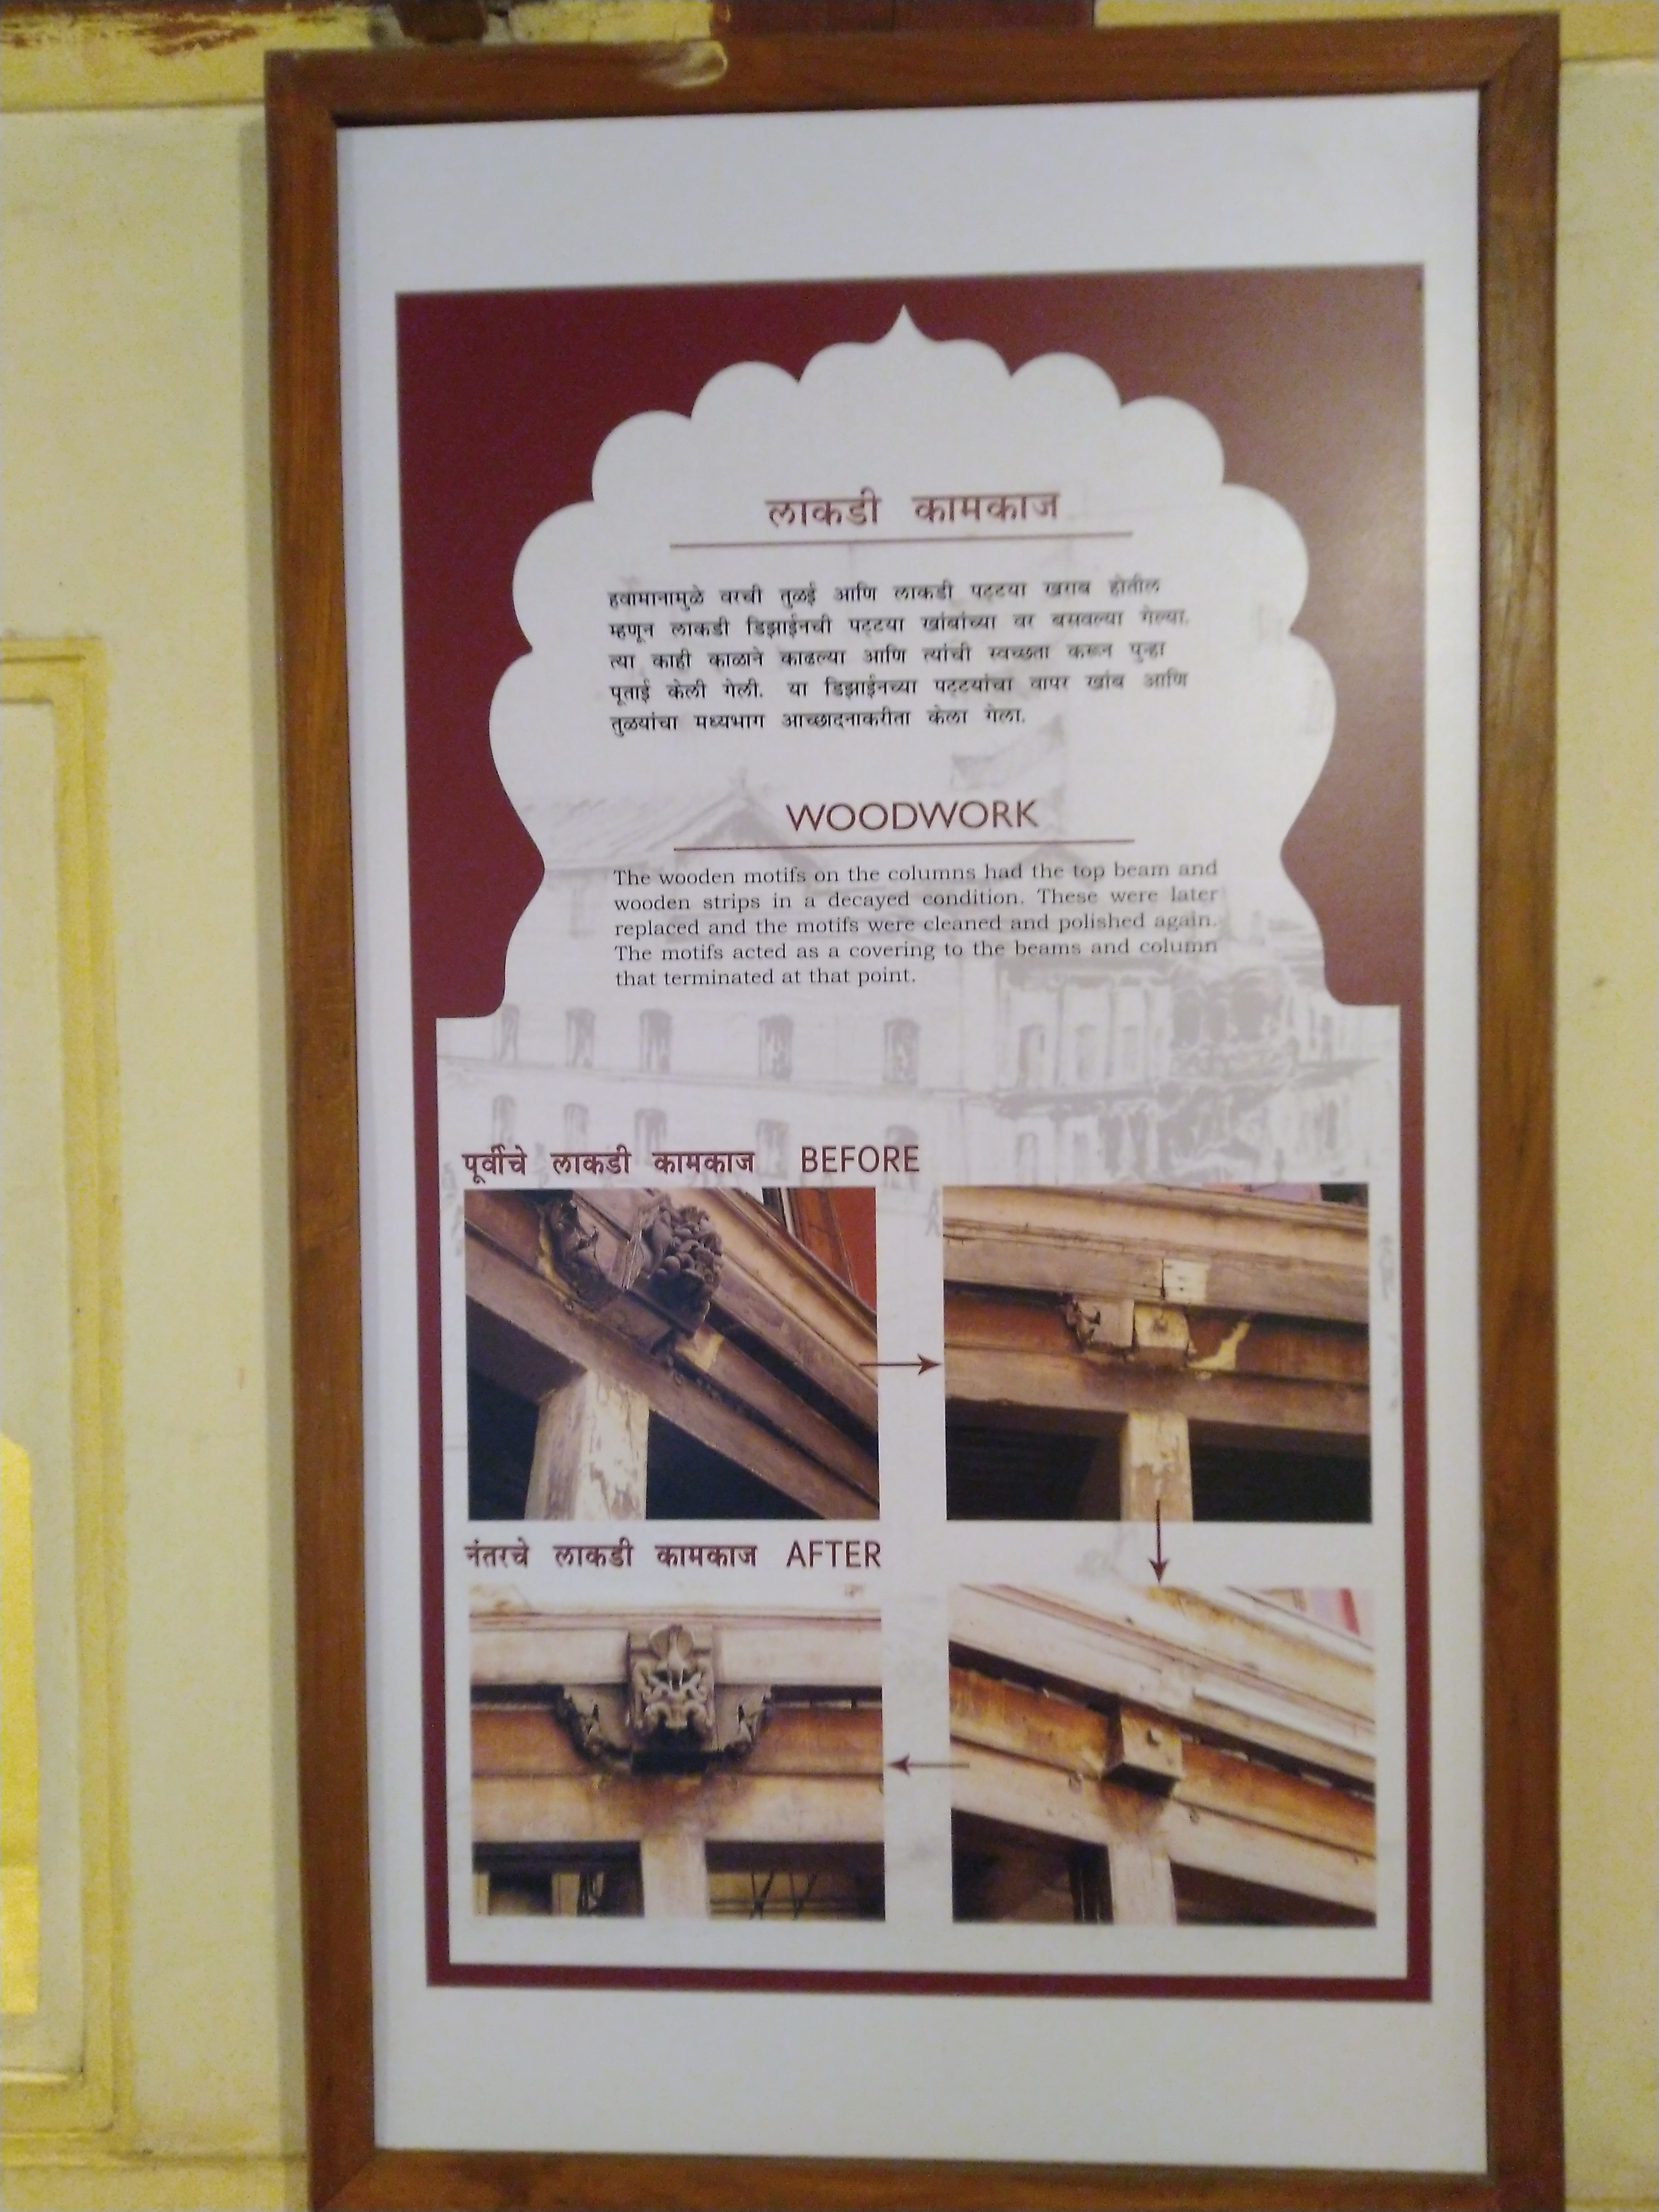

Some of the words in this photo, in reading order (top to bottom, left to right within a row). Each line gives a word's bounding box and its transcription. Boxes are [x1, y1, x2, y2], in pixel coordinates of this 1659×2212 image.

[753, 479, 888, 534] लाकडी
[899, 481, 1067, 529] कामकाज
[607, 619, 658, 644] म्हणून
[603, 650, 637, 673] त्या
[645, 644, 696, 673] काही
[702, 643, 770, 671] काळाने
[774, 647, 851, 668] काढल्या
[859, 640, 911, 669] आणि
[604, 676, 656, 708] पूताई
[663, 676, 713, 704] केली
[718, 672, 766, 703] गेली.
[782, 676, 812, 700] या
[606, 708, 684, 742] तुळयांचा
[688, 706, 771, 735] मध्यभाग
[772, 789, 1051, 847] WOODWORK
[609, 864, 656, 892] The
[655, 863, 737, 888] wooden
[739, 862, 810, 889] motifs
[811, 865, 841, 884] on
[843, 861, 884, 886] the
[884, 857, 977, 884] columns
[980, 858, 1026, 883] had
[1028, 860, 1068, 883] the
[1068, 853, 1110, 886] top
[1109, 853, 1175, 881] beam
[1173, 852, 1224, 880] and
[608, 891, 693, 919] wooden
[696, 889, 765, 915] strips
[765, 889, 796, 913] in
[801, 893, 821, 912] a
[825, 883, 916, 916] decayed
[917, 885, 1030, 909] condition.
[1030, 885, 1101, 907] These
[1107, 884, 1164, 908] were
[1166, 880, 1224, 909] later
[611, 916, 703, 942] replaced
[705, 914, 750, 937] and
[750, 914, 791, 939] the
[795, 912, 863, 938] motifs
[865, 914, 919, 935] were
[919, 911, 1005, 938] cleaned
[1005, 910, 1053, 933] and
[1053, 909, 1151, 935] polished
[1148, 909, 1226, 936] again.
[611, 943, 655, 963] The
[657, 938, 728, 966] motifs
[728, 940, 792, 964] acted
[793, 942, 823, 962] as
[825, 939, 846, 962] a
[844, 938, 941, 964] covering
[940, 938, 967, 961] to
[966, 936, 1010, 962] the
[1009, 935, 1085, 959] beams
[1086, 933, 1133, 959] and
[1135, 934, 1225, 961] column
[612, 966, 660, 989] that
[660, 965, 778, 994] terminated
[778, 964, 805, 989] at
[805, 965, 854, 992] that
[854, 962, 919, 989] point.
[450, 1134, 532, 1188] पूर्वीचे
[543, 1134, 639, 1181] लाकडी
[645, 1147, 761, 1179] कामकाज
[792, 1133, 933, 1187] BEFORE
[451, 1526, 539, 1580] नंतरचे
[543, 1530, 644, 1579] लाकडी
[646, 1532, 766, 1583] कामकाज
[773, 1531, 889, 1580] AFTER